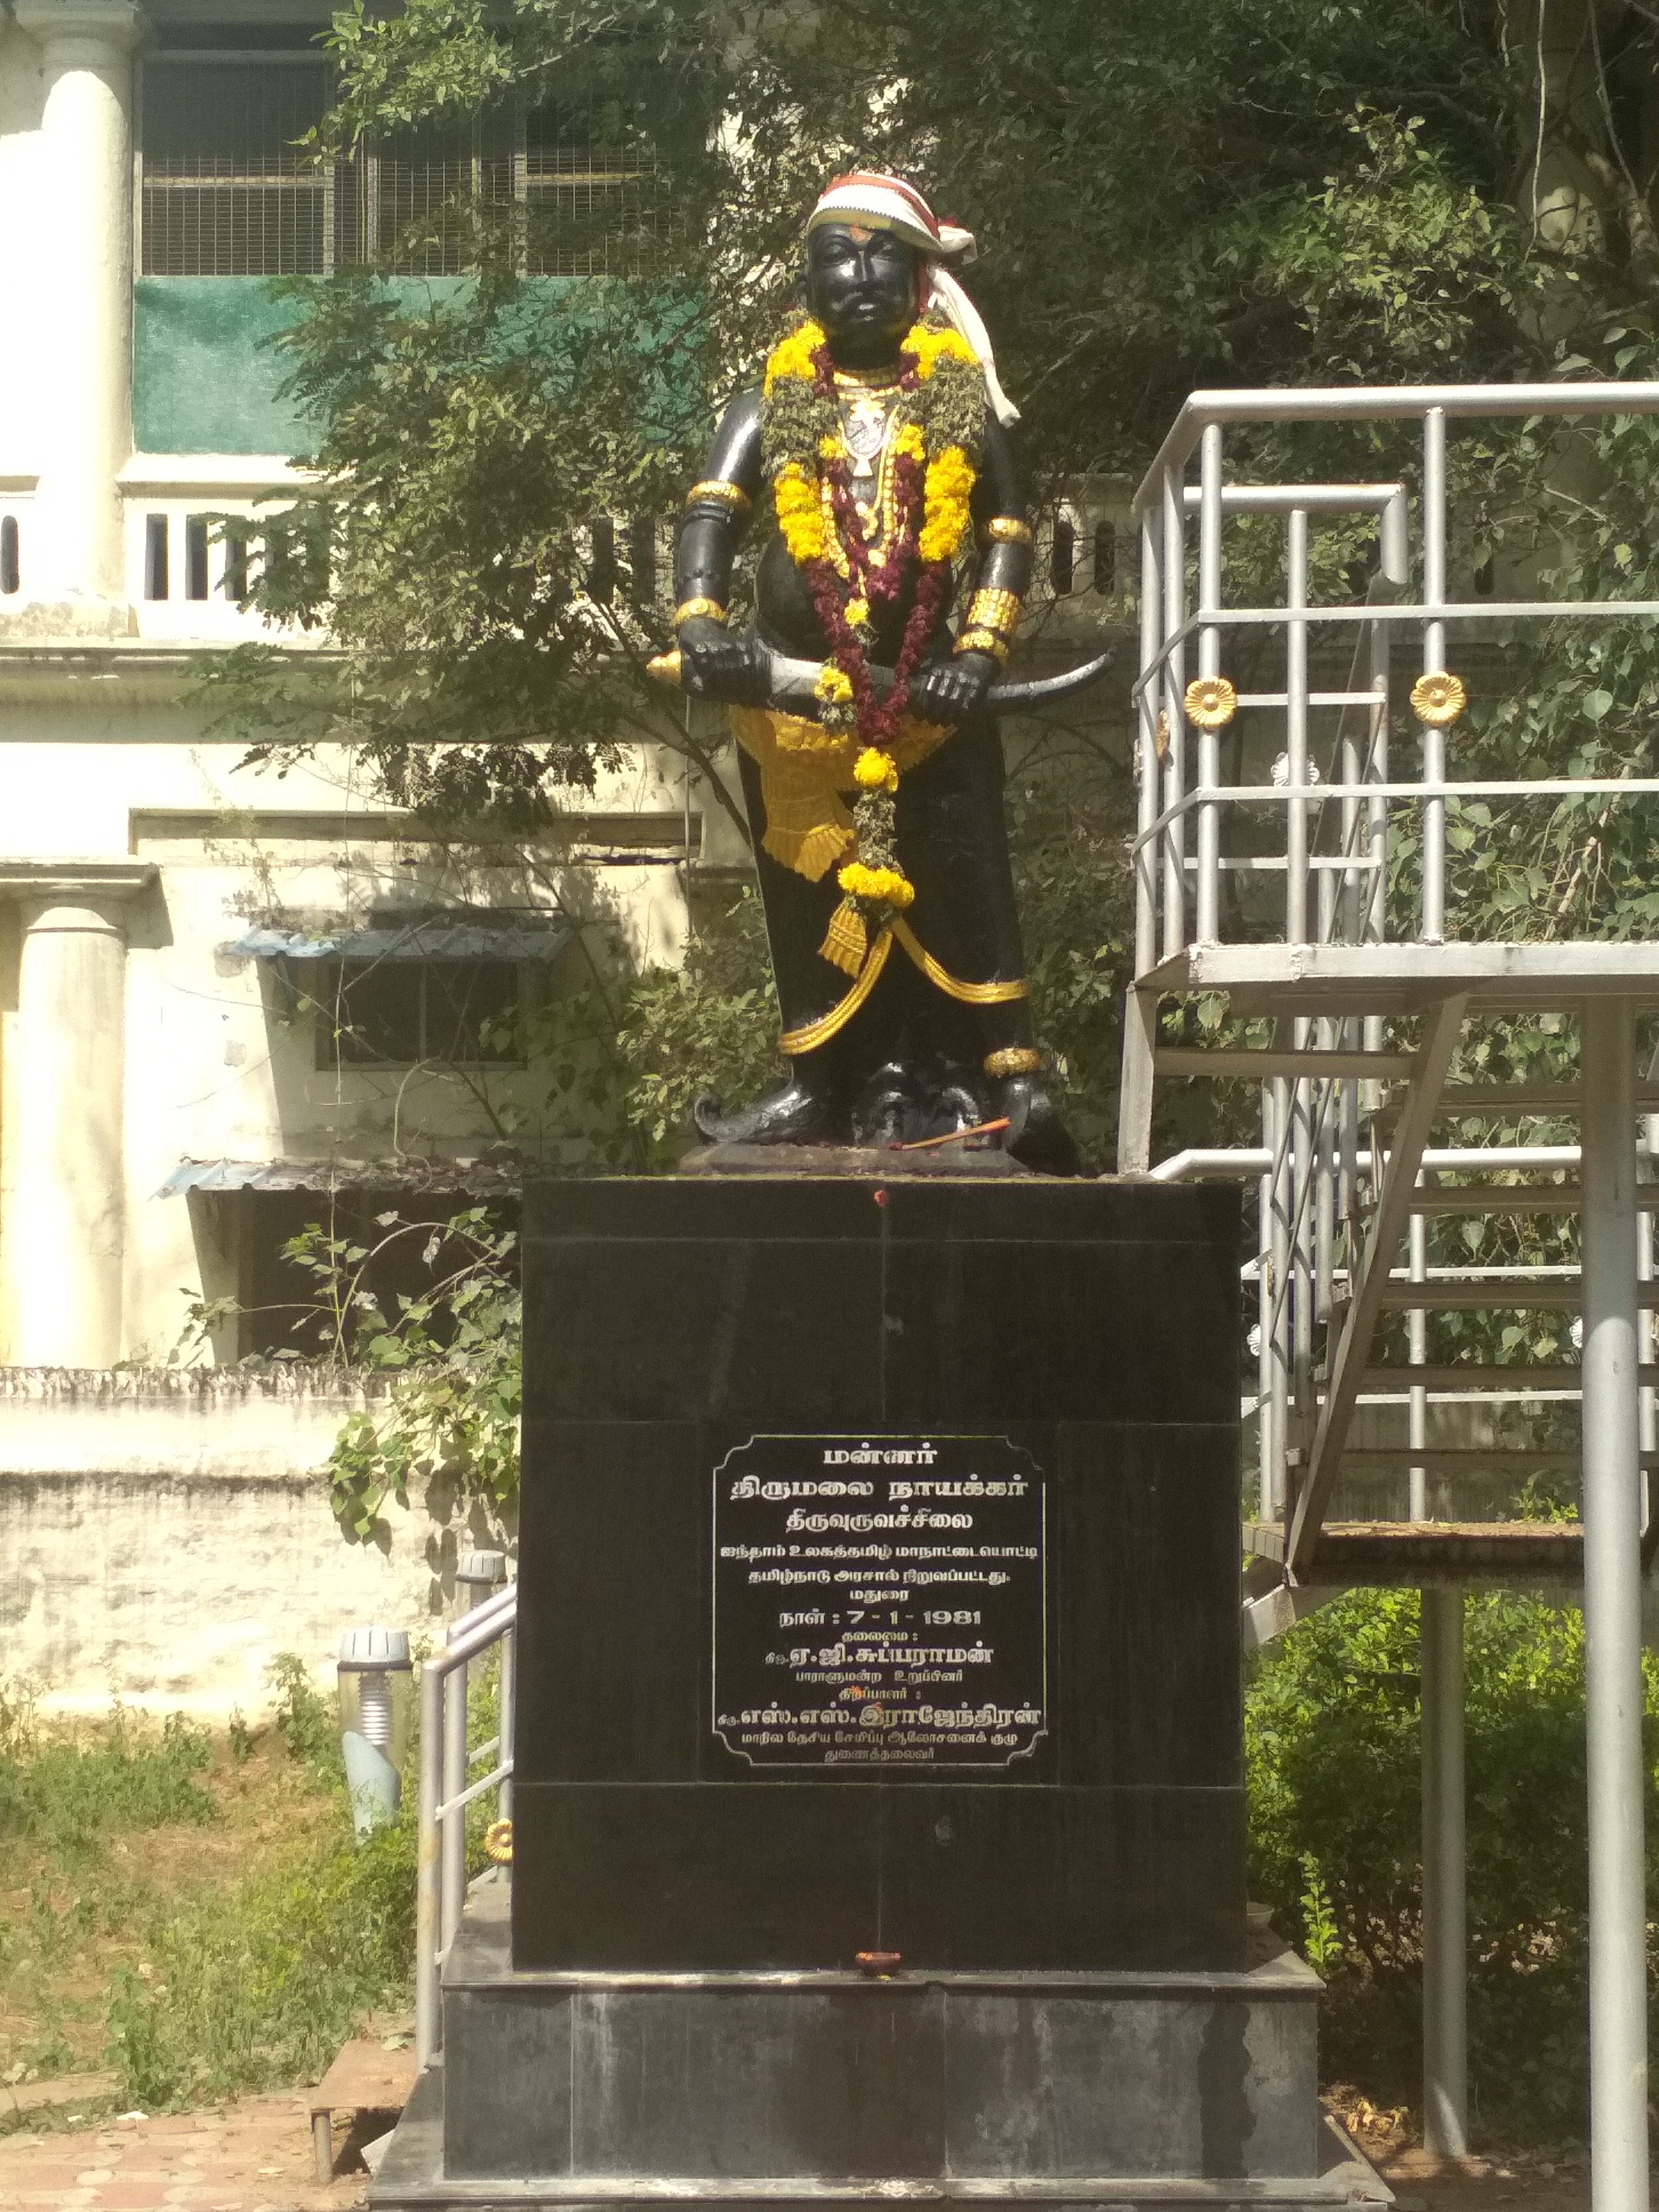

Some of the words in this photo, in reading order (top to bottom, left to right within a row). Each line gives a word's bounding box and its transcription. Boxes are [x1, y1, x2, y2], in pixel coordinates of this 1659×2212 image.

[820, 1438, 941, 1467] மன்னா்
[728, 1470, 876, 1503] தி௫மலை
[884, 1470, 1029, 1502] நாயக்கா்
[783, 1503, 974, 1535] திருவுருவச்சிலை
[719, 1540, 791, 1564] ஐந்தாம்
[785, 1540, 895, 1564] உலகத்தமிழ்
[893, 1543, 1042, 1561] மரநாடடையொட்டி
[746, 1564, 833, 1588] தமிழ்நாடு
[832, 1565, 902, 1584] அரசால்
[900, 1565, 1012, 1587] நிறுவப்பட்டது.
[845, 1587, 911, 1605] மதுரை
[776, 1604, 828, 1629] நாள்
[845, 1607, 985, 1627] 7-1-1981
[837, 1628, 911, 1645] தலைமை
[762, 1638, 995, 1669] திரு. ஏ.ஜி.சுப்பராமன்
[793, 1667, 884, 1685] பாராளுமன்ற
[892, 1665, 964, 1688] உறுப்பினர்
[835, 1681, 910, 1705] திருப்பாளர்
[716, 1697, 859, 1728] ஸ்ரீ எஸ்.எஸ்
[856, 1699, 1041, 1732] இராஜேந்திரன்
[740, 1728, 787, 1746] மாநில
[783, 1728, 833, 1747] தேசிய
[832, 1728, 886, 1746] சேமிப்பு
[884, 1727, 991, 1748] ஆலோசனைக்
[988, 1729, 1021, 1748] ஞழு
[822, 1746, 939, 1764] துணைத்தலைவர்